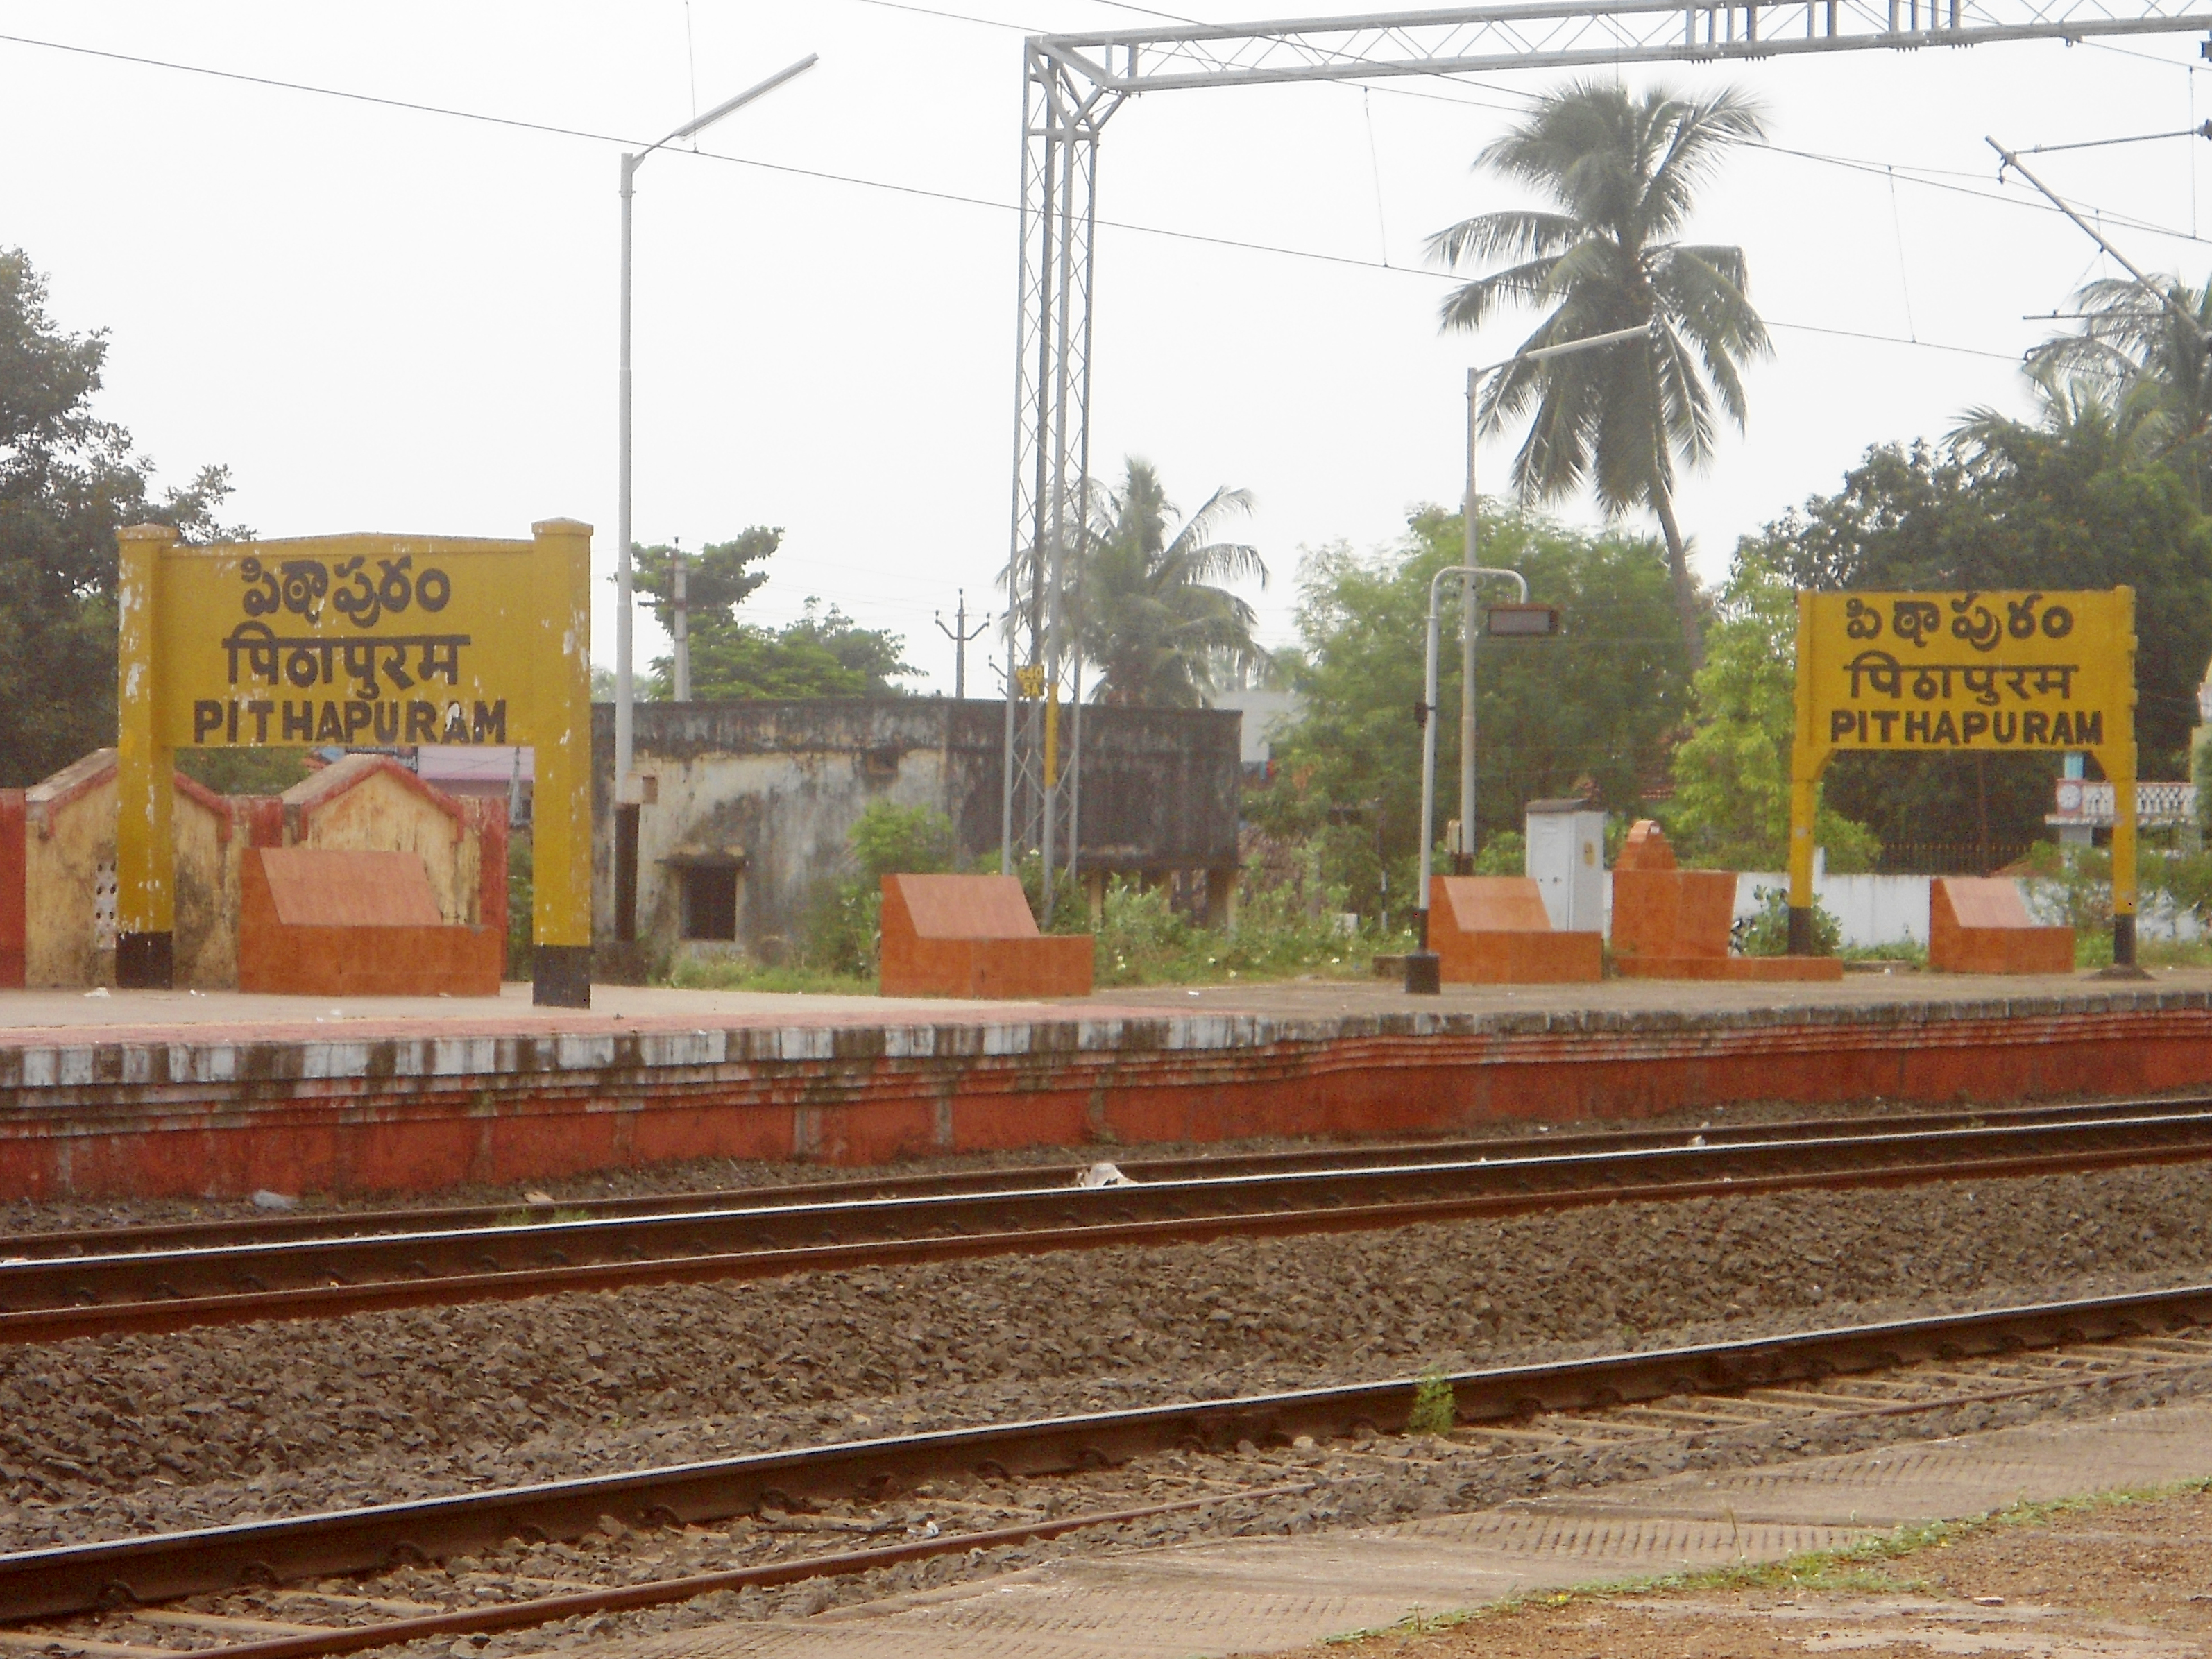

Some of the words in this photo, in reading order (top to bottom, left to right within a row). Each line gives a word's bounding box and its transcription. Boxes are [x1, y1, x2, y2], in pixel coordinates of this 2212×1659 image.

[237, 552, 455, 633] పిఠాపురం
[1842, 586, 2077, 654] పిఠాపురం
[218, 614, 477, 702] पिठापुरम
[1832, 638, 2085, 713] पिठापुरम
[191, 696, 511, 748] PITHAPURAM
[1826, 704, 2110, 750] PITHAPURAM